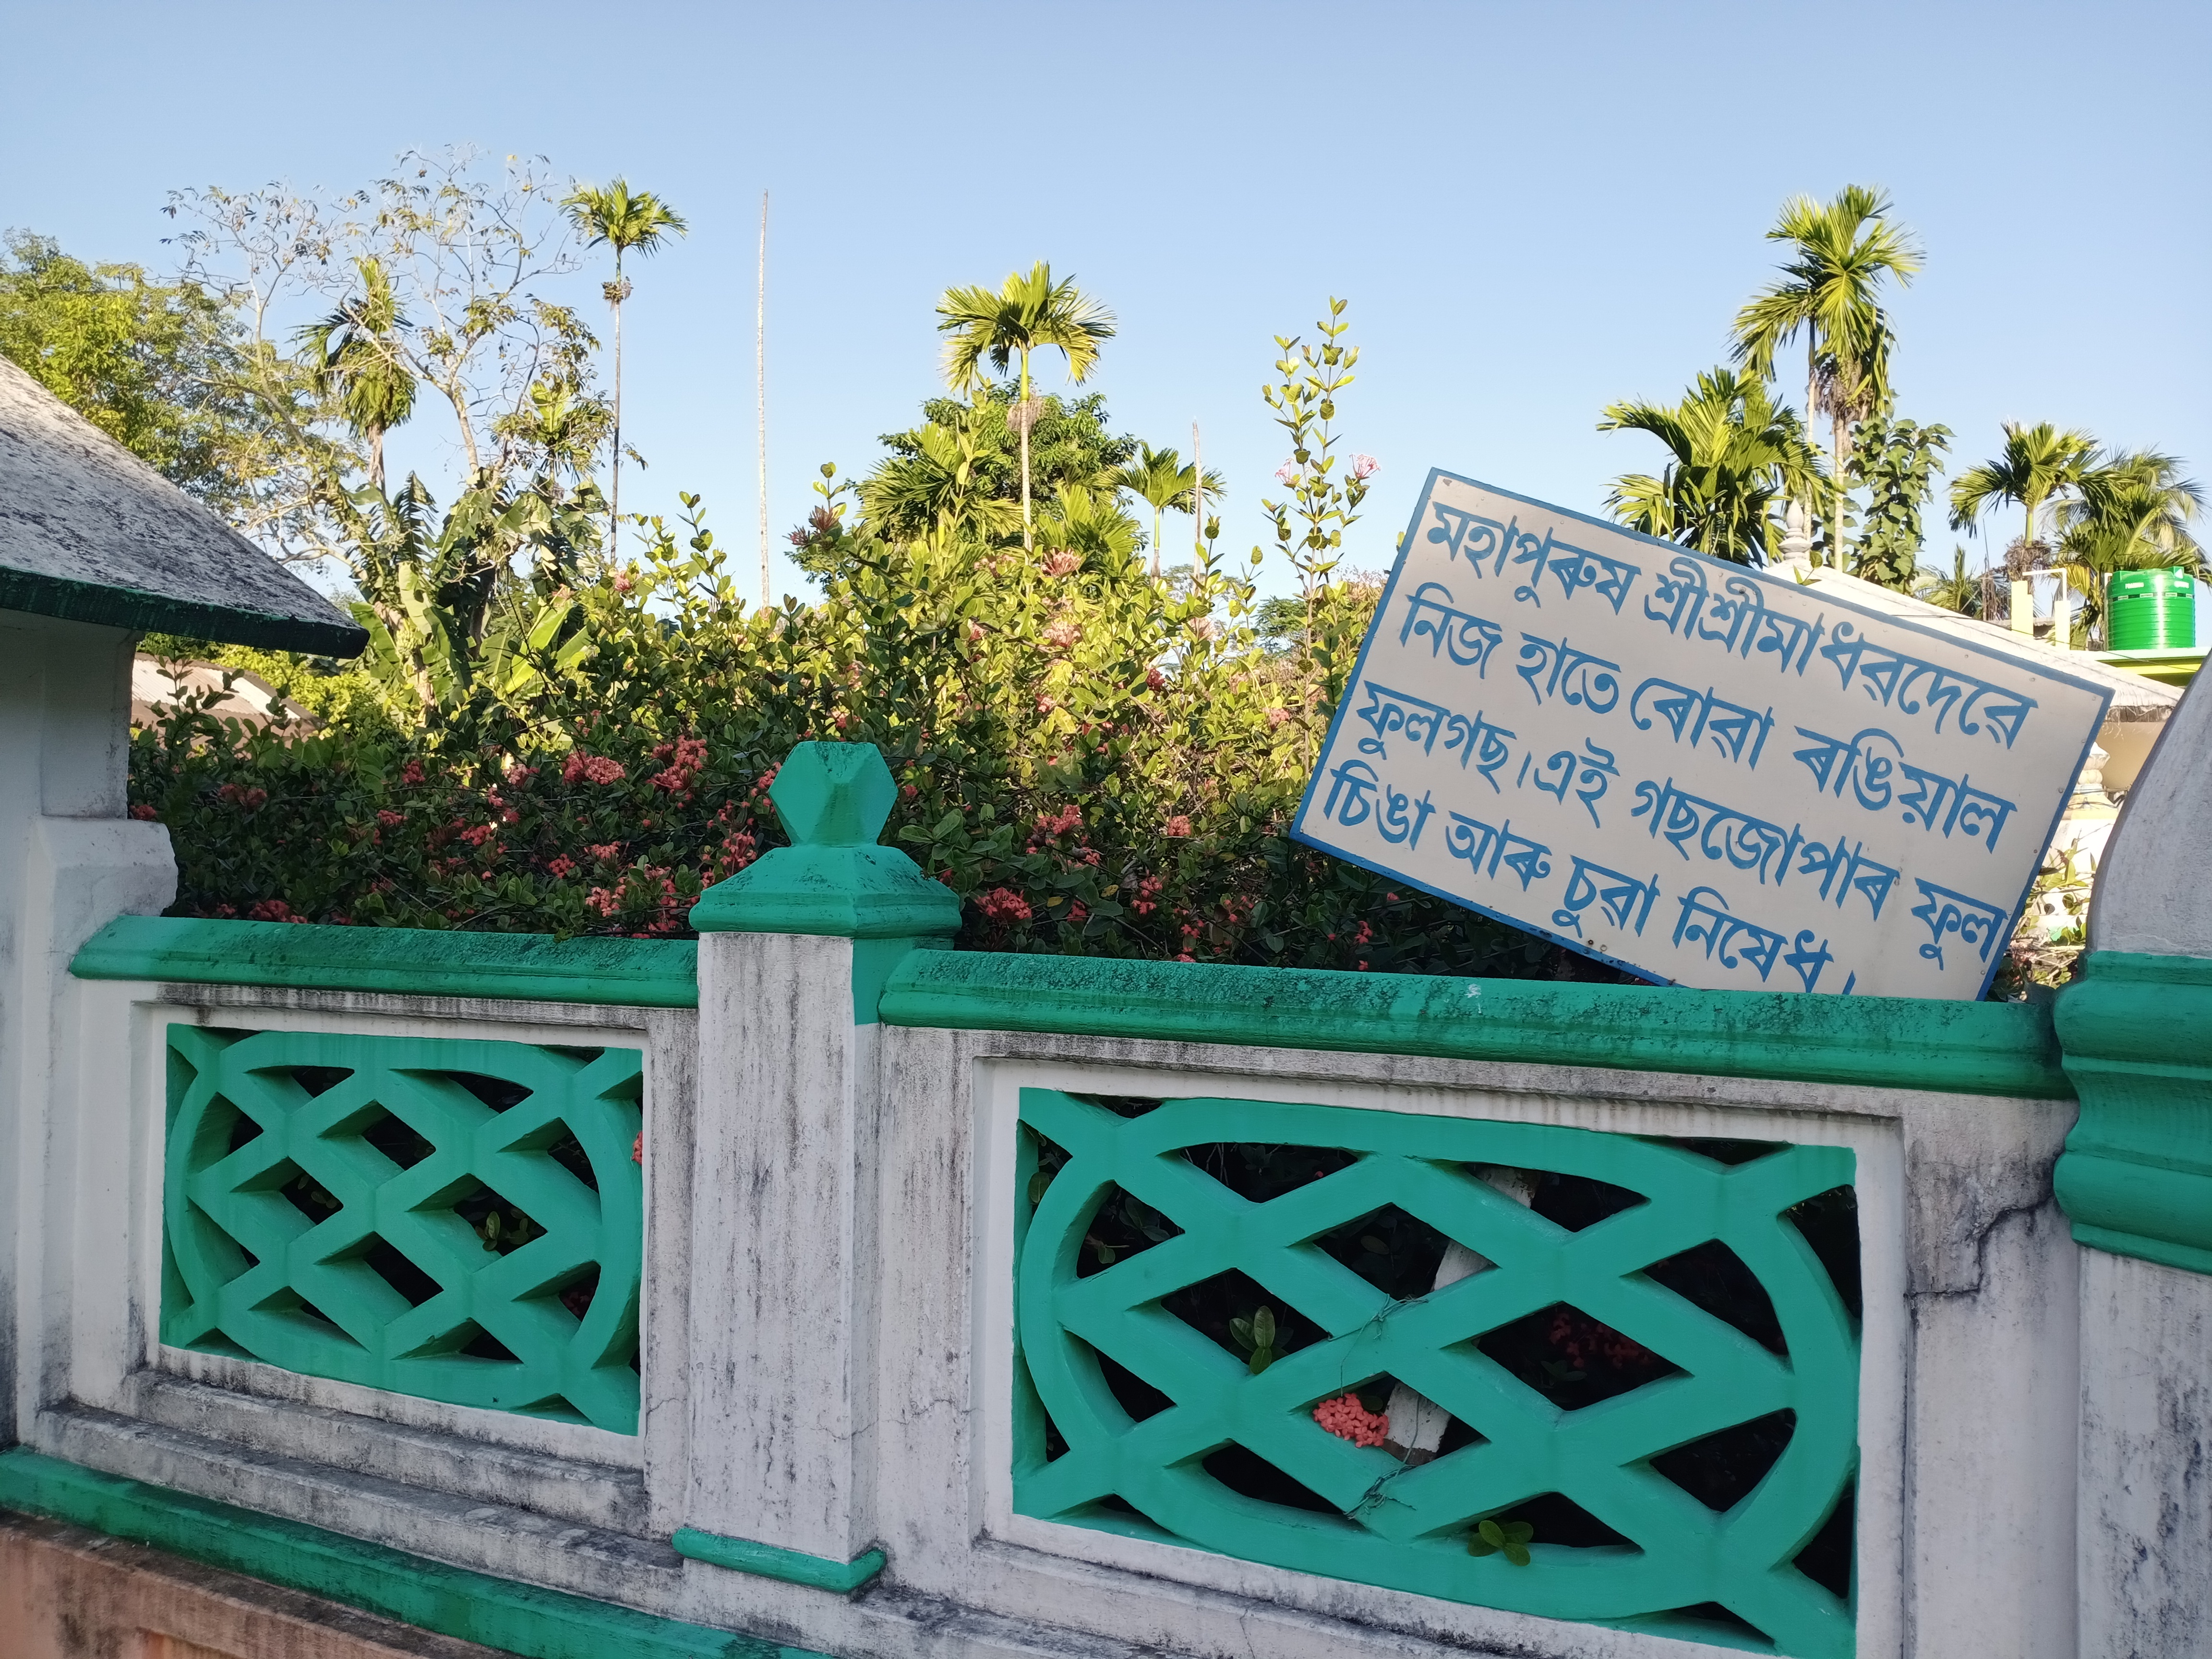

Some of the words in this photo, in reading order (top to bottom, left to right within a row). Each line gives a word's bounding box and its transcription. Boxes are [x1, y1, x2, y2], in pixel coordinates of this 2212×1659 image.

[1419, 496, 1649, 621] মহাপুৰুষ
[1321, 753, 1440, 854] চিঙা
[1351, 672, 1522, 796] ফুলগছ
[1392, 573, 1510, 678] নিজ
[1437, 801, 1557, 898] আৰু
[1512, 631, 1623, 717] হাতে
[1524, 728, 1622, 833] এই
[1548, 843, 1666, 943] চুৱা
[1630, 672, 1773, 767] বোৱা
[1635, 547, 1830, 679] শ্ৰীশ্ৰীমা
[1664, 881, 1837, 996] নিষেধ
[1624, 776, 1901, 926] গছজোপাৰ
[1788, 722, 2023, 855] ৰঙিয়াল
[1814, 617, 2042, 753] ধৱদেৱে
[1905, 872, 2013, 975] ফুল